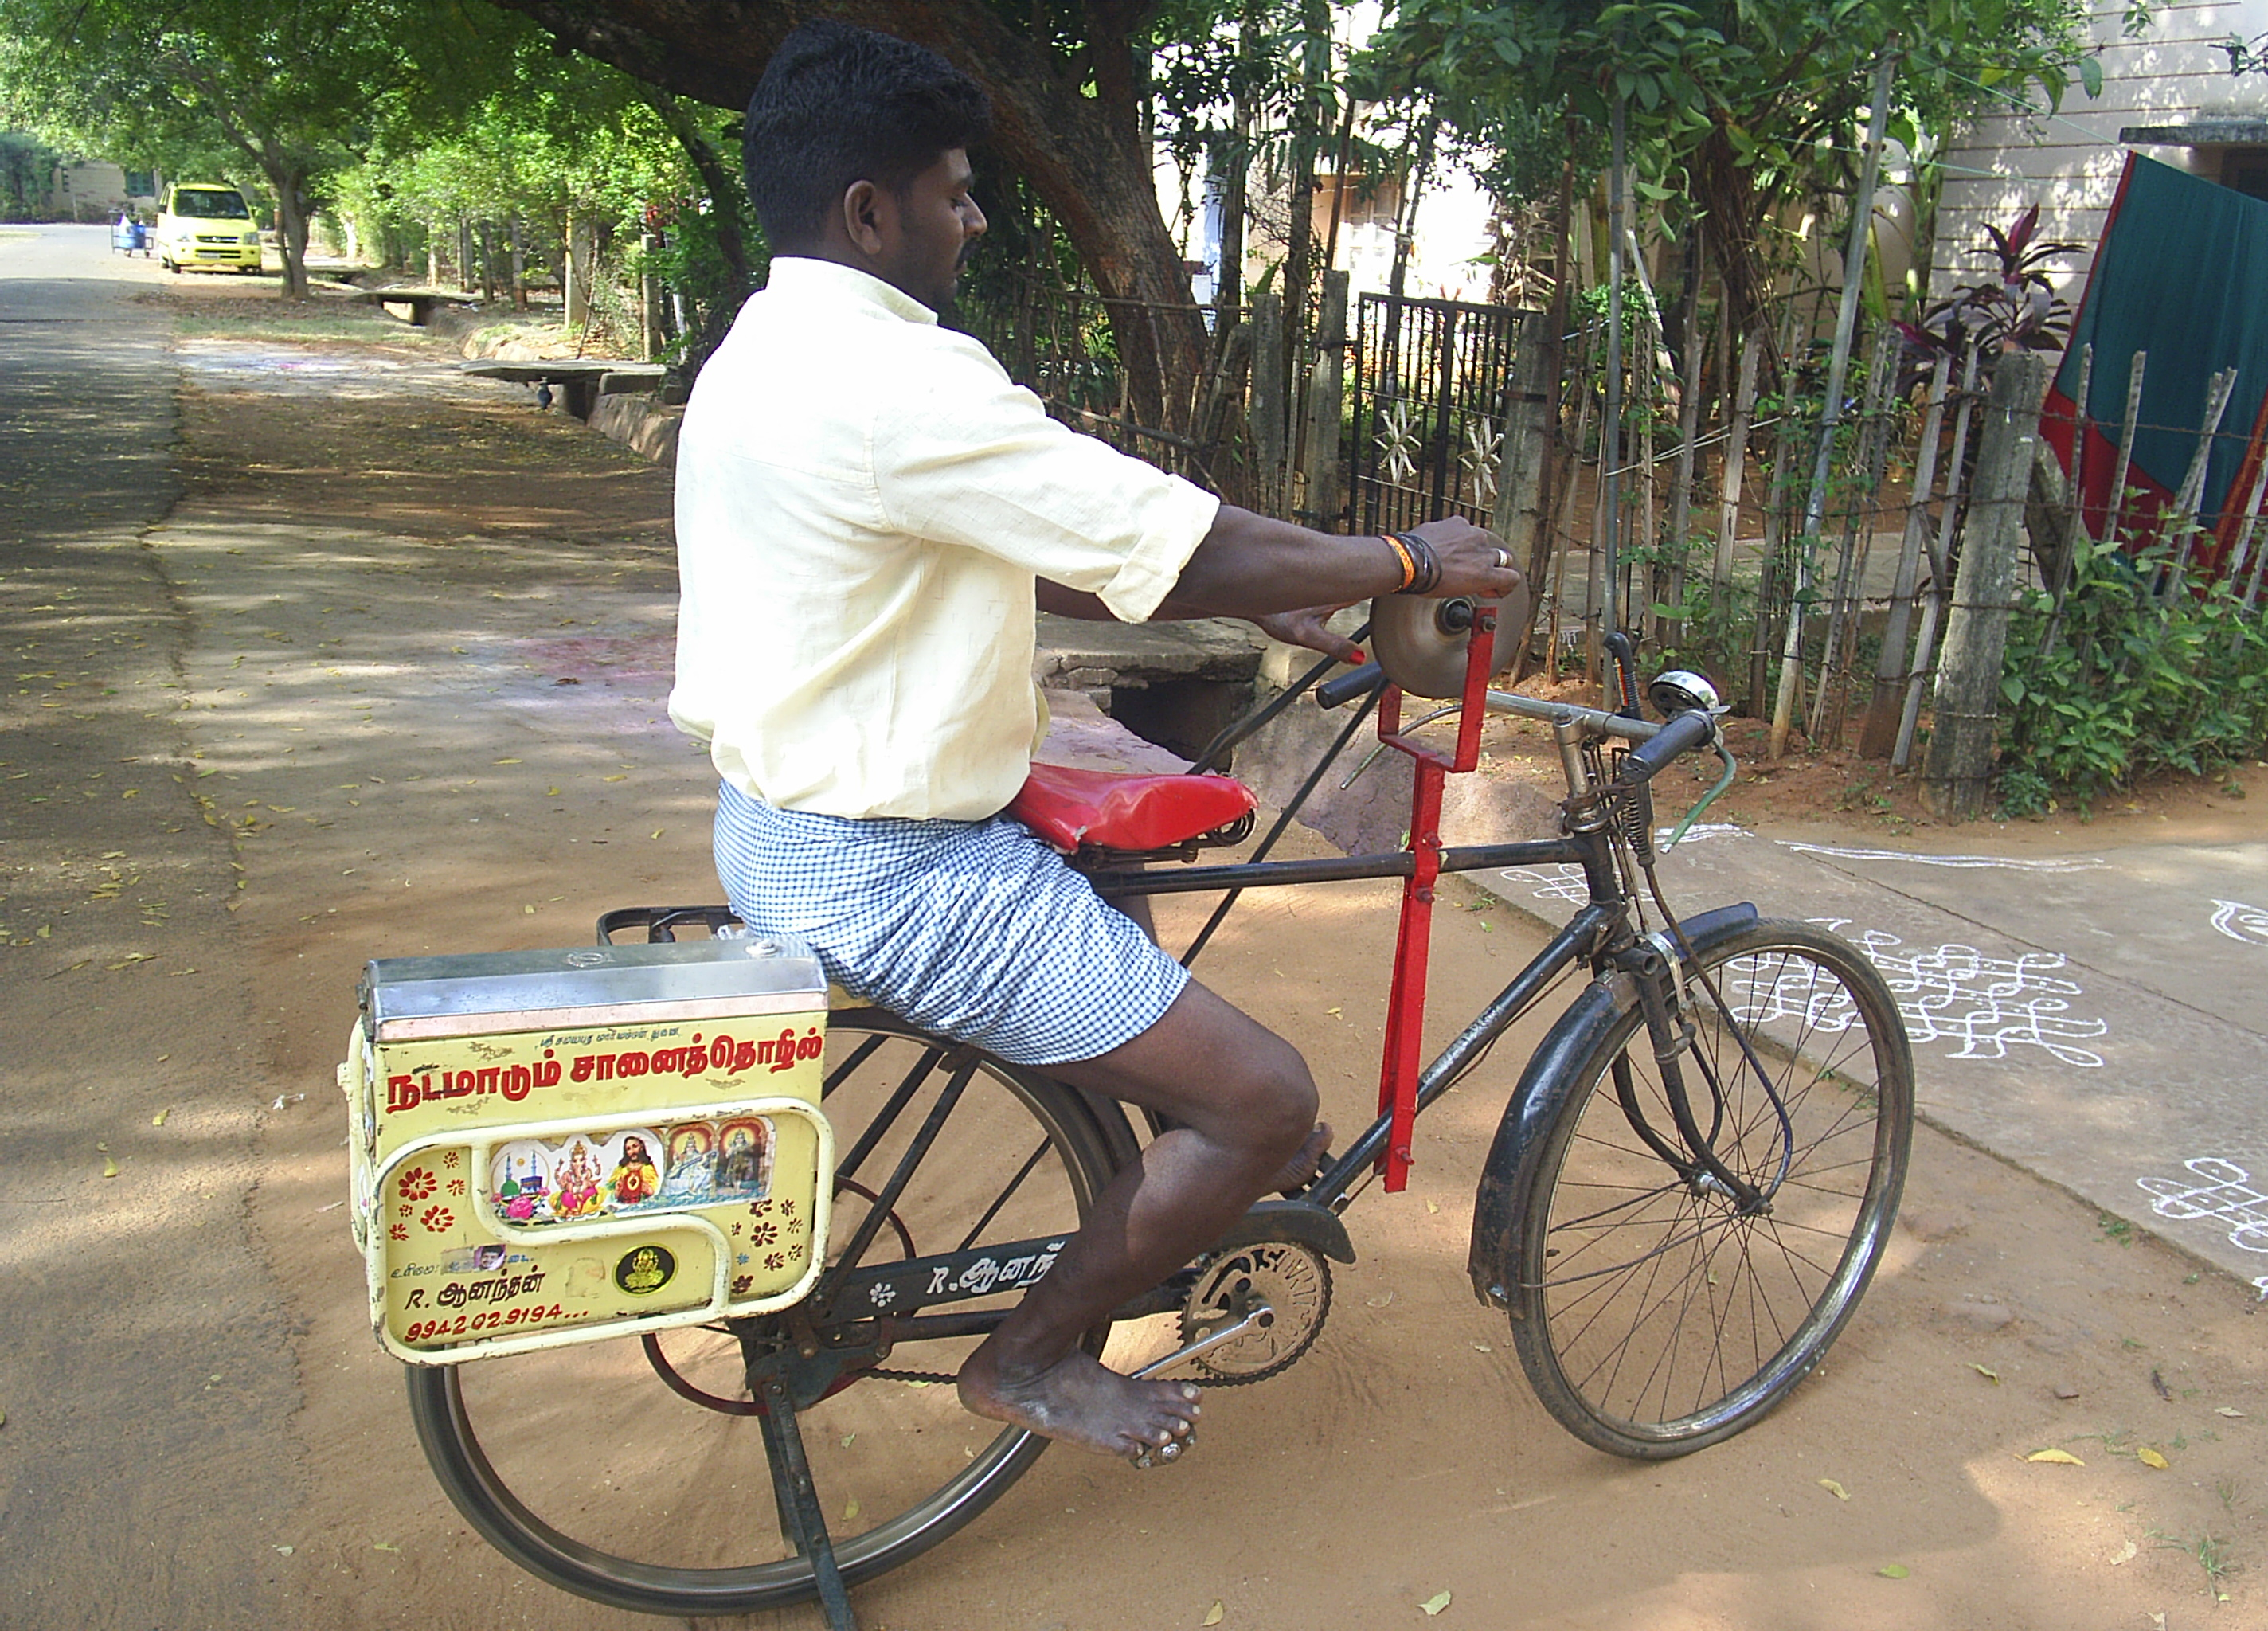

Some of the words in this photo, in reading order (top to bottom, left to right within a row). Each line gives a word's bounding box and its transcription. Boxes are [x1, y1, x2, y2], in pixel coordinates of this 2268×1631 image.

[379, 1040, 569, 1118] நடமாடும்
[566, 1027, 716, 1088] சானைத்
[644, 1015, 686, 1045] துகன
[702, 1019, 828, 1079] தொழில்